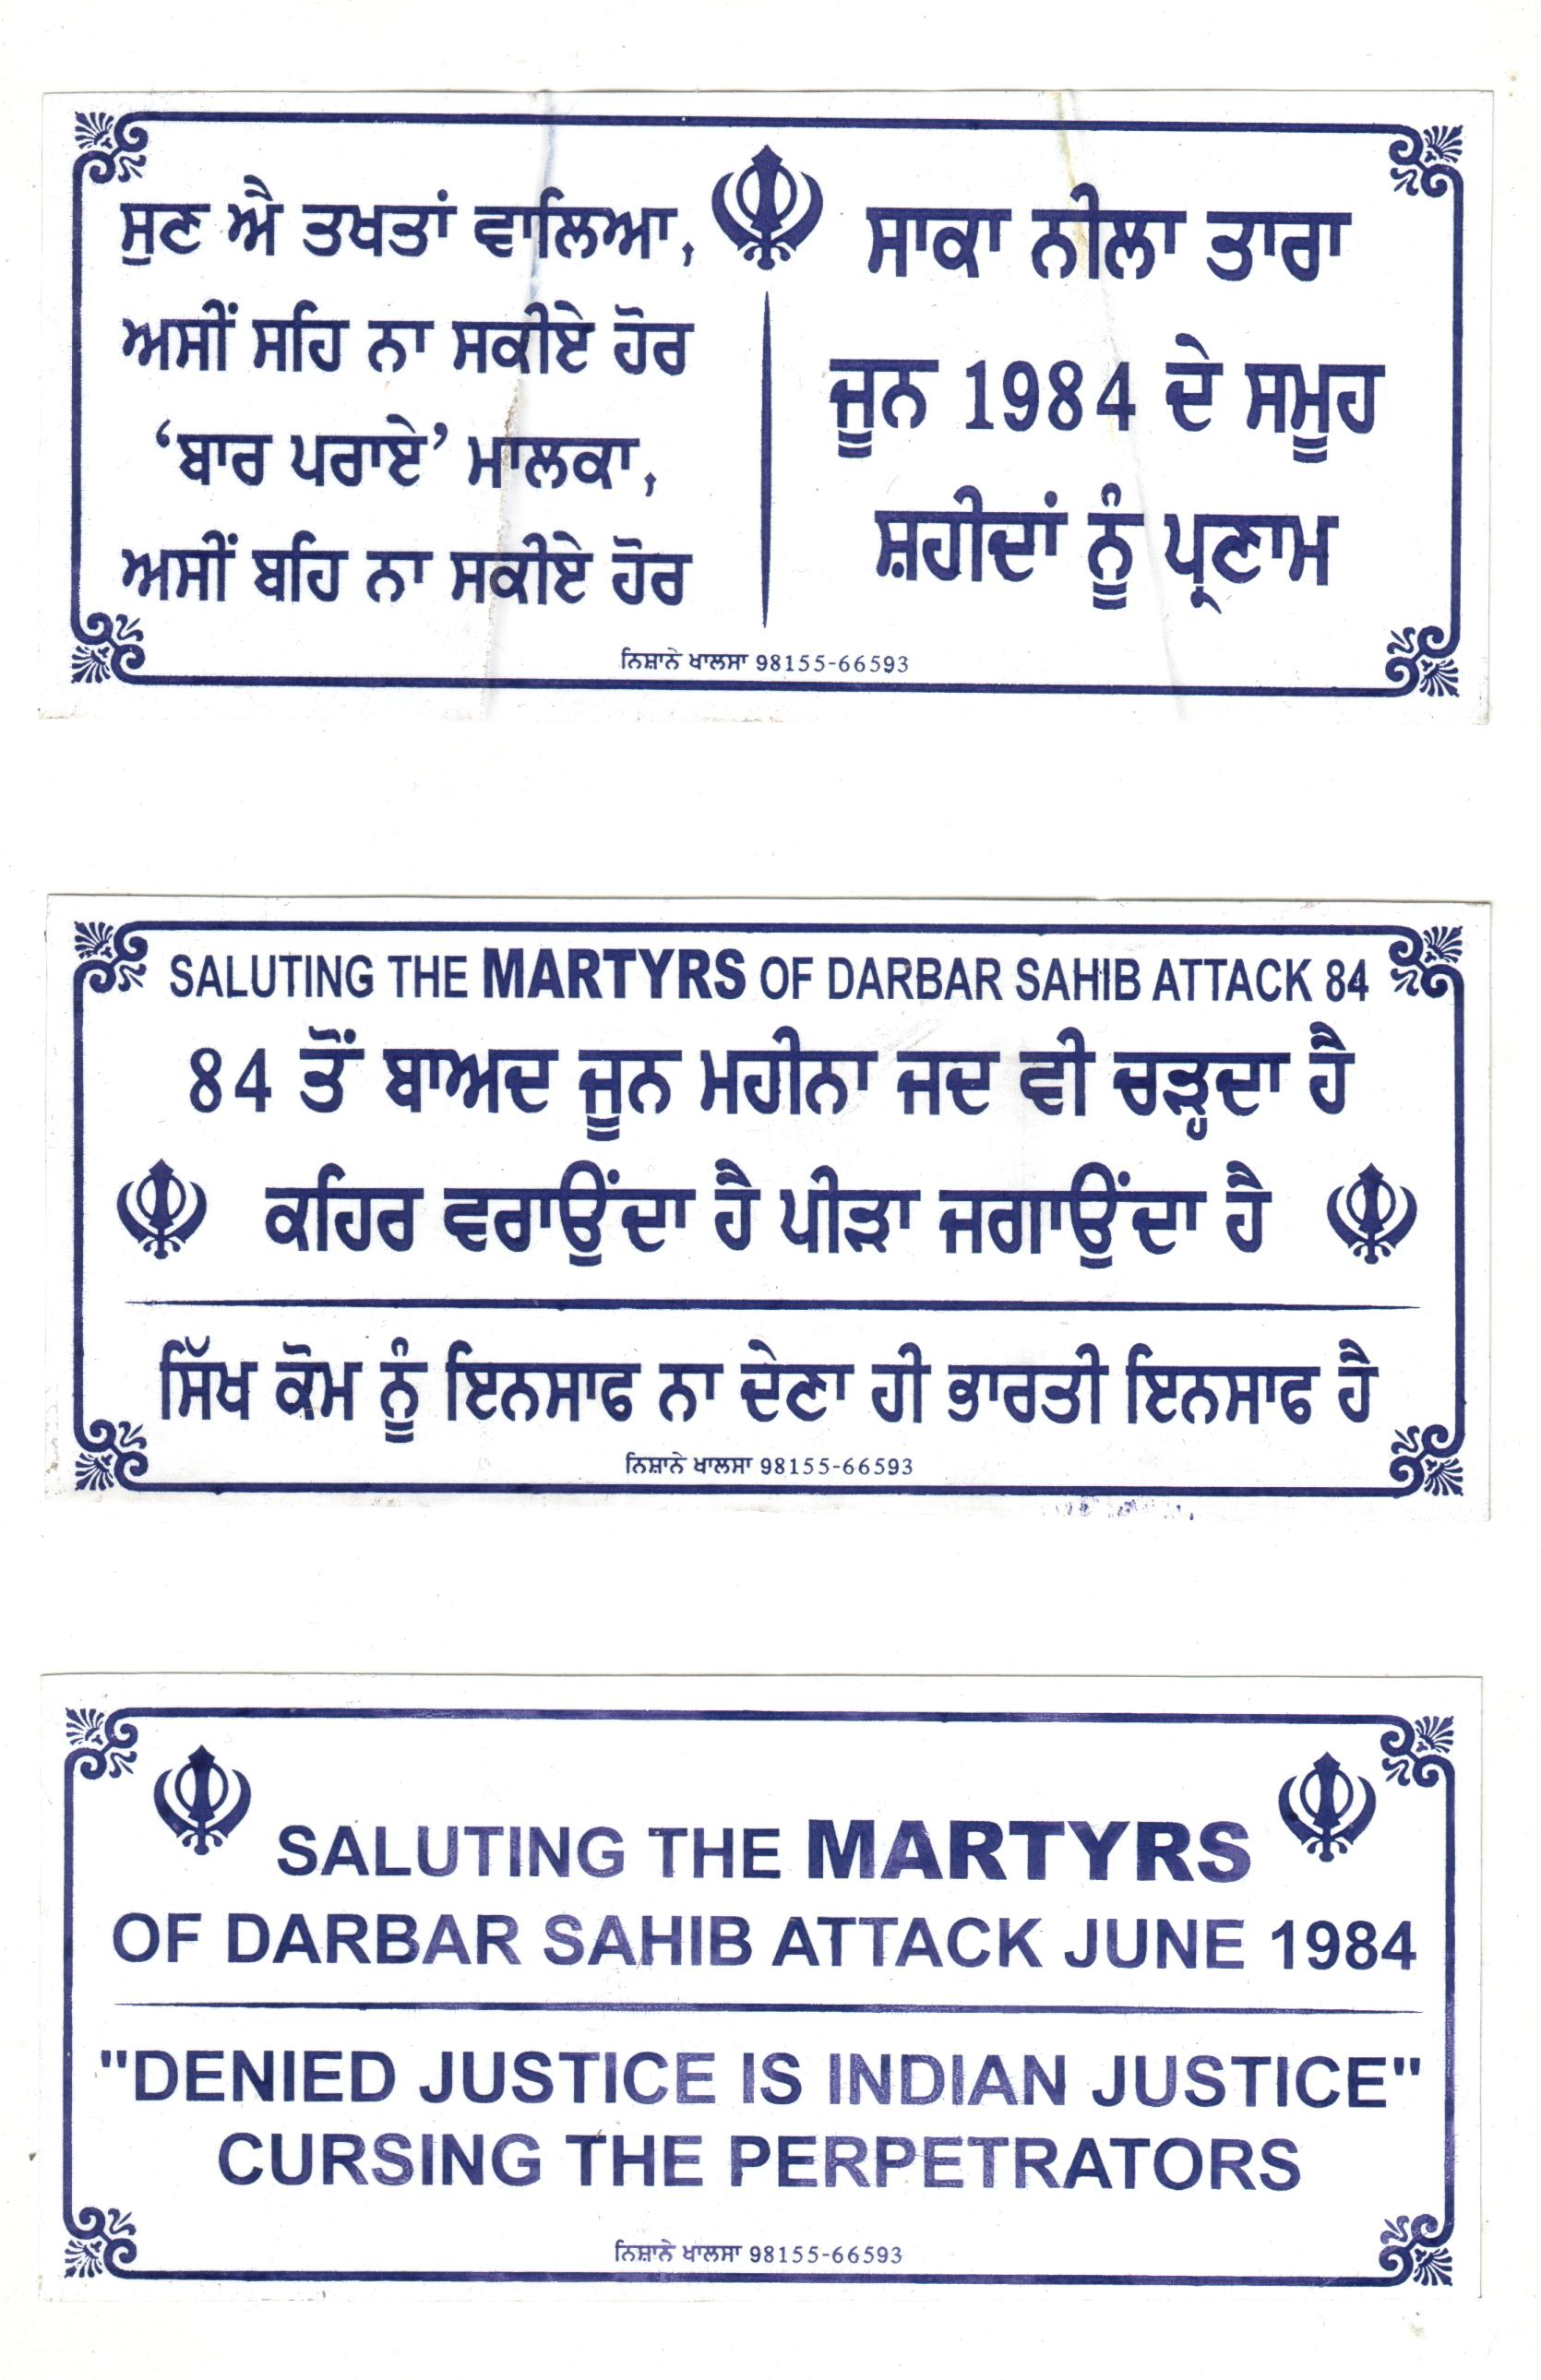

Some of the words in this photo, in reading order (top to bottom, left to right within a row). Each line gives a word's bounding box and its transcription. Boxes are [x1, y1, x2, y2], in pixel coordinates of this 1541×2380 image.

[107, 188, 218, 280] ਸੁਣ
[218, 162, 295, 279] ਐ
[292, 168, 467, 279] ਤਖਤਾਂ
[465, 173, 685, 280] ਵਾਲਿਆ
[851, 186, 1024, 299] ਸਾਕਾ
[1021, 179, 1198, 301] ਨੀਲਾ
[1196, 199, 1362, 293] ਤਾਰਾ
[114, 288, 245, 384] ਅਸੀ
[172, 415, 279, 502] ਬਾਰ
[245, 286, 356, 384] ਸਹਿ
[284, 404, 436, 509] ਪਰਾਏ
[356, 308, 444, 380] ਨਾ
[439, 279, 603, 391] ਸਕੀਏ
[452, 411, 653, 507] ਮਾਲਕਾ
[602, 292, 703, 393] ਹੋਰ
[806, 341, 954, 476] ਜੂਨ
[956, 347, 1148, 448] 1984
[1153, 323, 1235, 450] ਦੇ
[1231, 345, 1404, 478] ਸਮੂਹ
[105, 524, 247, 618] ਅਸੀਂ
[234, 522, 356, 614] ਬਹਿ
[352, 537, 444, 618] ਨਾ
[437, 524, 602, 624] ਸਕੀਏ
[598, 520, 705, 620] ਹੋਰ
[856, 469, 1080, 600] ਸ਼ਹੀਦਾਂ
[1069, 469, 1159, 624] ਨੂੰ
[1150, 502, 1360, 624] ਪ੍ਰਣਾਮ
[615, 638, 687, 678] ਨਿਸ਼ਾਨੇ
[685, 646, 751, 674] ਖਾਲਸਾ
[751, 651, 916, 674] 98155-66593
[162, 941, 382, 1009] SALUTING
[381, 946, 475, 1006] THE
[476, 943, 756, 1007] MARTYRS
[752, 948, 820, 1002] OF
[822, 948, 1009, 1006] DARBAR
[1006, 949, 1148, 1007] SAHIB
[1148, 950, 1320, 1005] ATTACK
[1317, 946, 1373, 1010] 84
[178, 1035, 279, 1124] 84
[284, 1009, 371, 1124] ਤੋਂ
[378, 1031, 567, 1122] ਬਾਅਦ
[570, 1031, 690, 1149] ਜੂਨ
[688, 1015, 888, 1133] ਮਹੀਨਾ
[890, 1035, 1015, 1138] ਜਦ
[1011, 1015, 1107, 1135] ਵੀ
[1102, 1028, 1299, 1151] ਚੜ੍ਹਦਾ
[1297, 1011, 1375, 1133] ਹੈ
[234, 1149, 434, 1269] ਕਹਿਰ
[430, 1157, 709, 1282] ਵਰਾਉਂਦਾ
[705, 1138, 770, 1264] ਹੈ
[770, 1155, 932, 1271] ਪੀੜਾ
[932, 1149, 1214, 1273] ਜਗਾਉਂਦਾ
[1210, 1159, 1275, 1256] ਹੈ
[144, 1327, 268, 1435] ਸਿੱਖ
[268, 1330, 375, 1437] ਕੋਮ
[371, 1325, 437, 1454] ਨੂੰ
[432, 1327, 653, 1434] ਇਨਸਾਫ
[647, 1353, 731, 1428] ਨਾ
[729, 1317, 869, 1435] ਦੇਣਾ
[865, 1339, 936, 1428] ਹੀ
[938, 1339, 1120, 1437] ਭਾਰਤੀ
[1117, 1334, 1327, 1450] ਇਨਸਾਫ
[1323, 1330, 1393, 1439] ਹੈ
[615, 1446, 691, 1480] ਨਿਸ਼ਾਨੇ
[688, 1445, 757, 1485] ਖਾਲਸਾ
[757, 1448, 926, 1485] 98155-66593
[261, 1811, 630, 1886] SALUTING
[640, 1818, 790, 1889] THE
[795, 1813, 1260, 1893] MARTYRS
[101, 1900, 211, 1973] OF
[221, 1910, 531, 1971] DARBAR
[538, 1908, 758, 1971] SAHIB
[763, 1910, 1049, 1976] ATTACK
[1055, 1908, 1259, 1977] JUNE
[1260, 1910, 1425, 1975] 1984
[127, 2041, 401, 2110] DENIED
[411, 2042, 722, 2113] JUSTICE
[737, 2045, 810, 2112] IS
[820, 2048, 1079, 2116] INDIAN
[1087, 2046, 1400, 2116] JUSTICE
[212, 2124, 551, 2193] CURSING
[555, 2122, 717, 2194] THE
[723, 2127, 1305, 2197] PERPETRATORS
[603, 2227, 679, 2269] ਨਿਸ਼ਾਨੇ
[679, 2232, 747, 2269] ਖਾਲਸਾ
[742, 2234, 912, 2273] 98155-66593